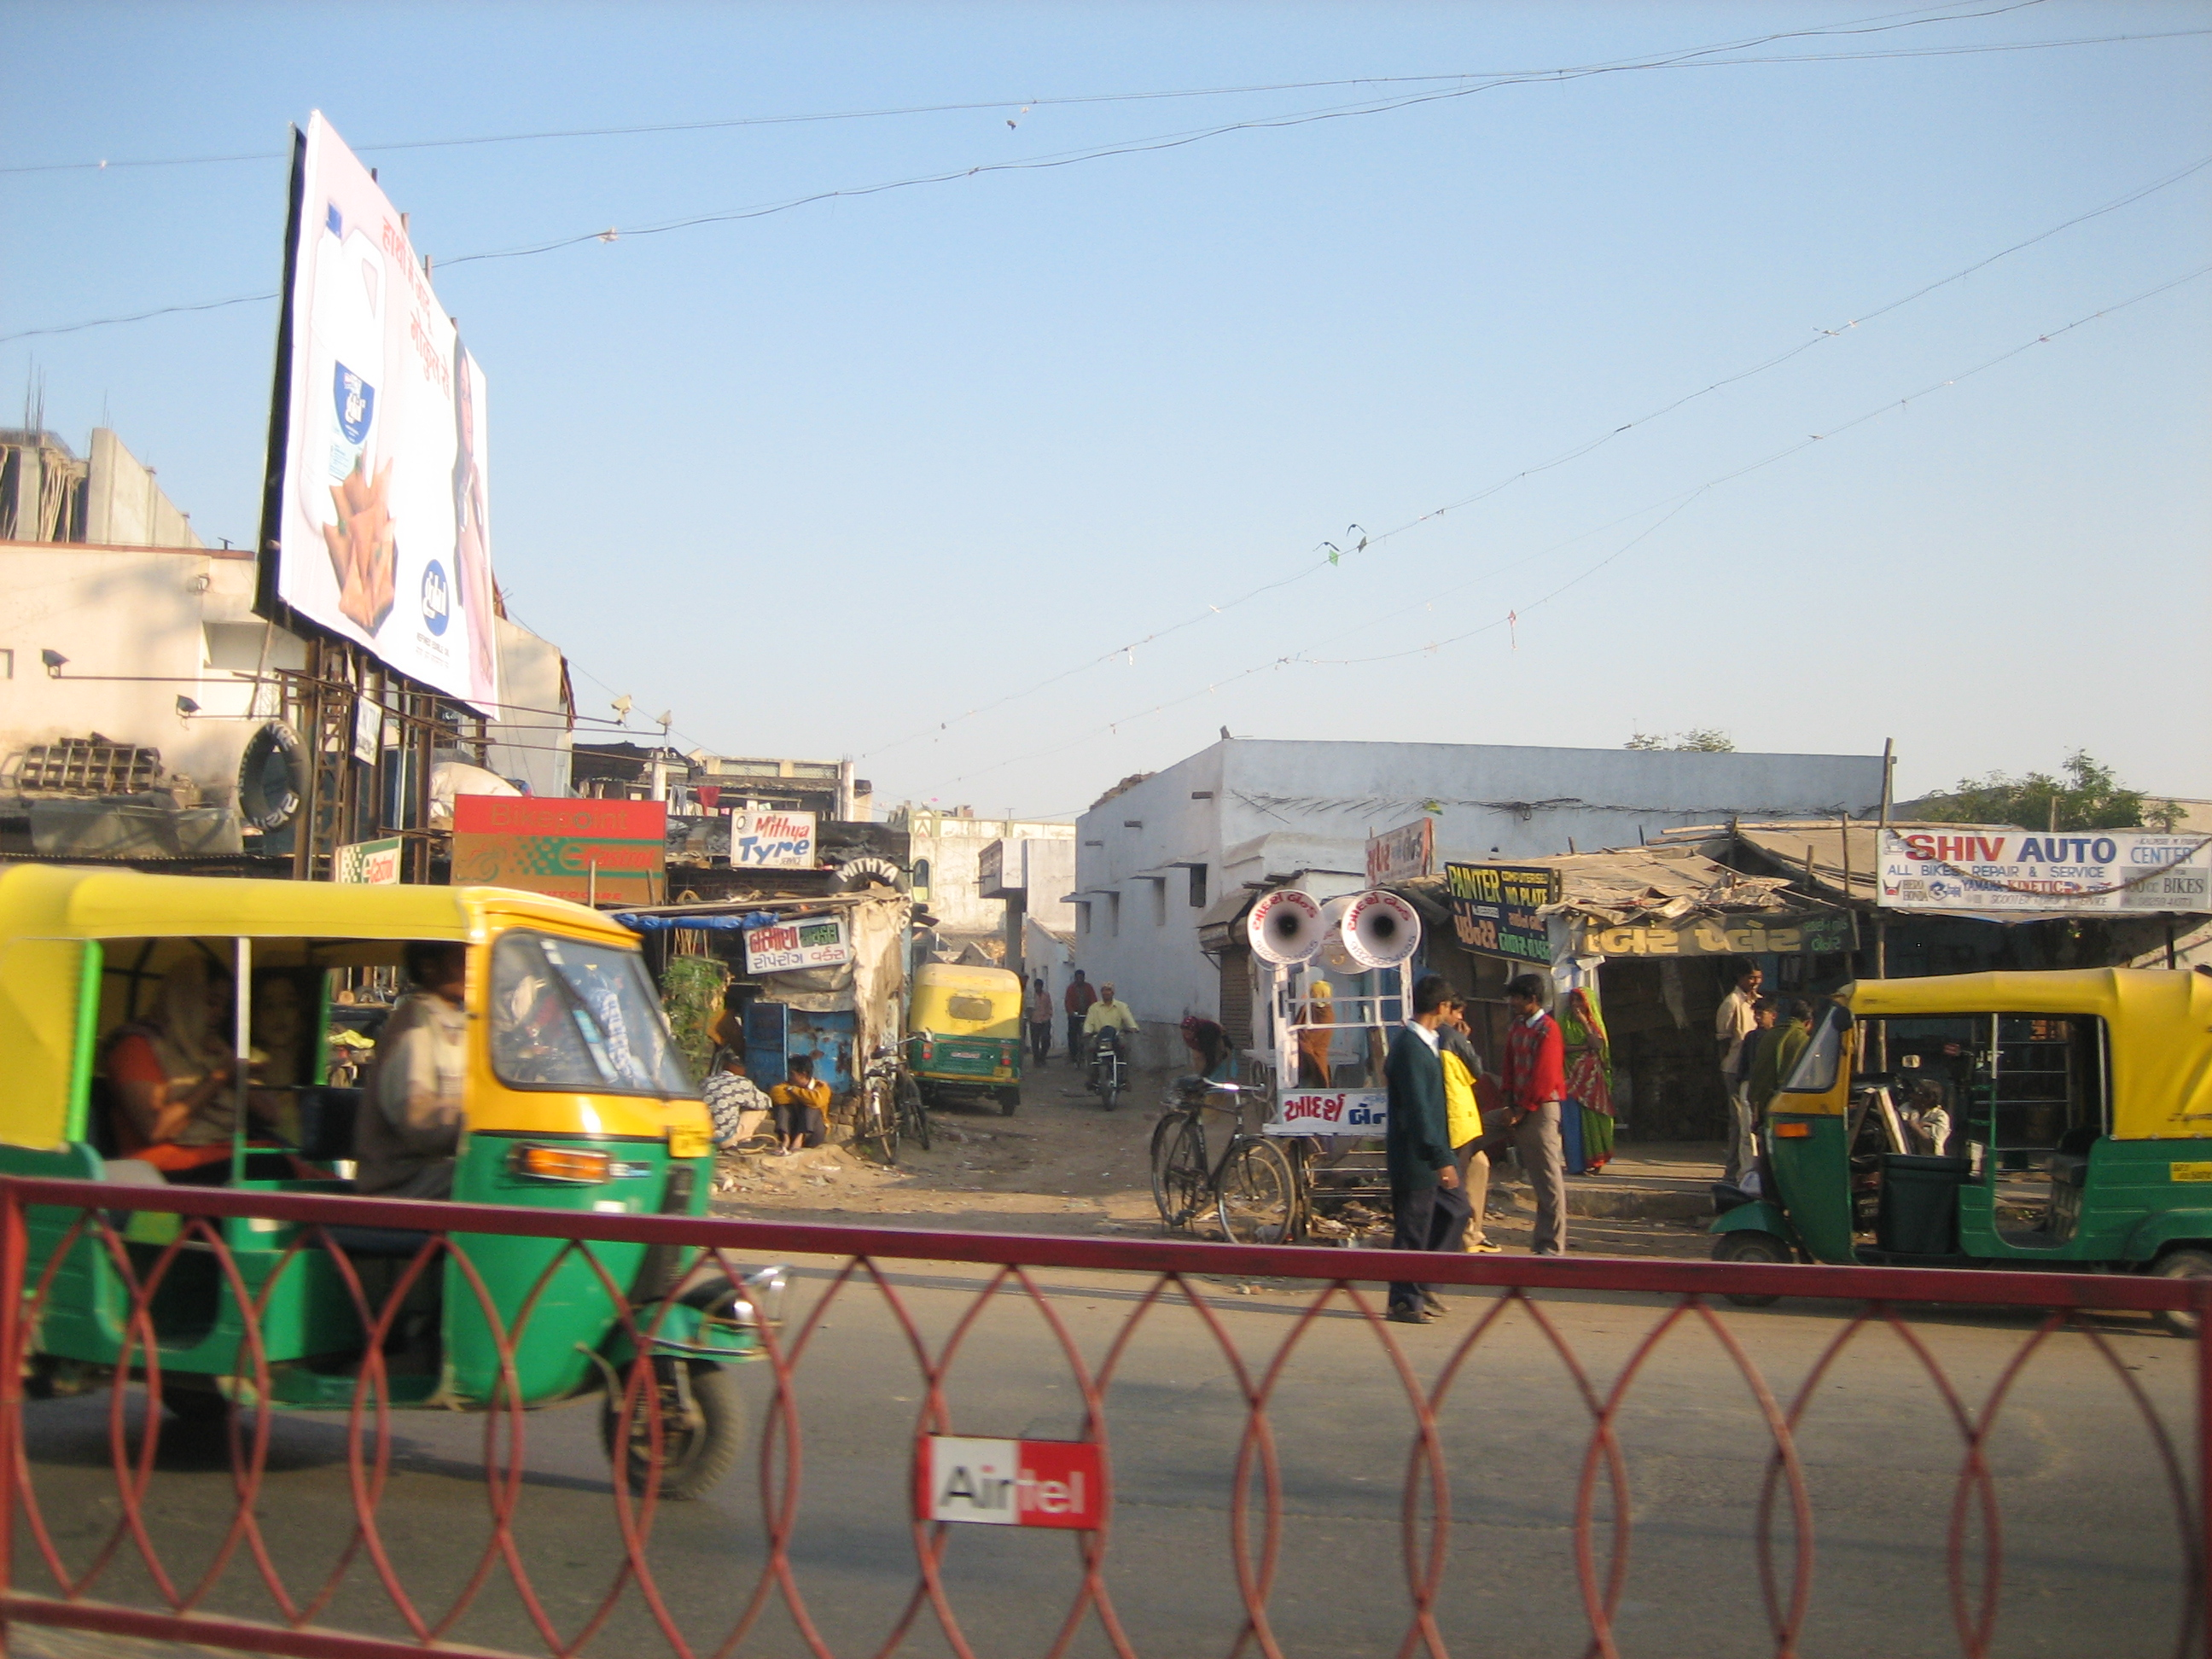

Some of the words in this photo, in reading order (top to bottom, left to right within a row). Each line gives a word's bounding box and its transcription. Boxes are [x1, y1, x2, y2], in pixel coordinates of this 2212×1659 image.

[1898, 825, 2009, 872] SHIV
[2013, 829, 2114, 870] AUTO
[2018, 872, 2089, 890] NETIC
[1280, 1096, 1342, 1121] આદશ
[1349, 1097, 1380, 1125] બે